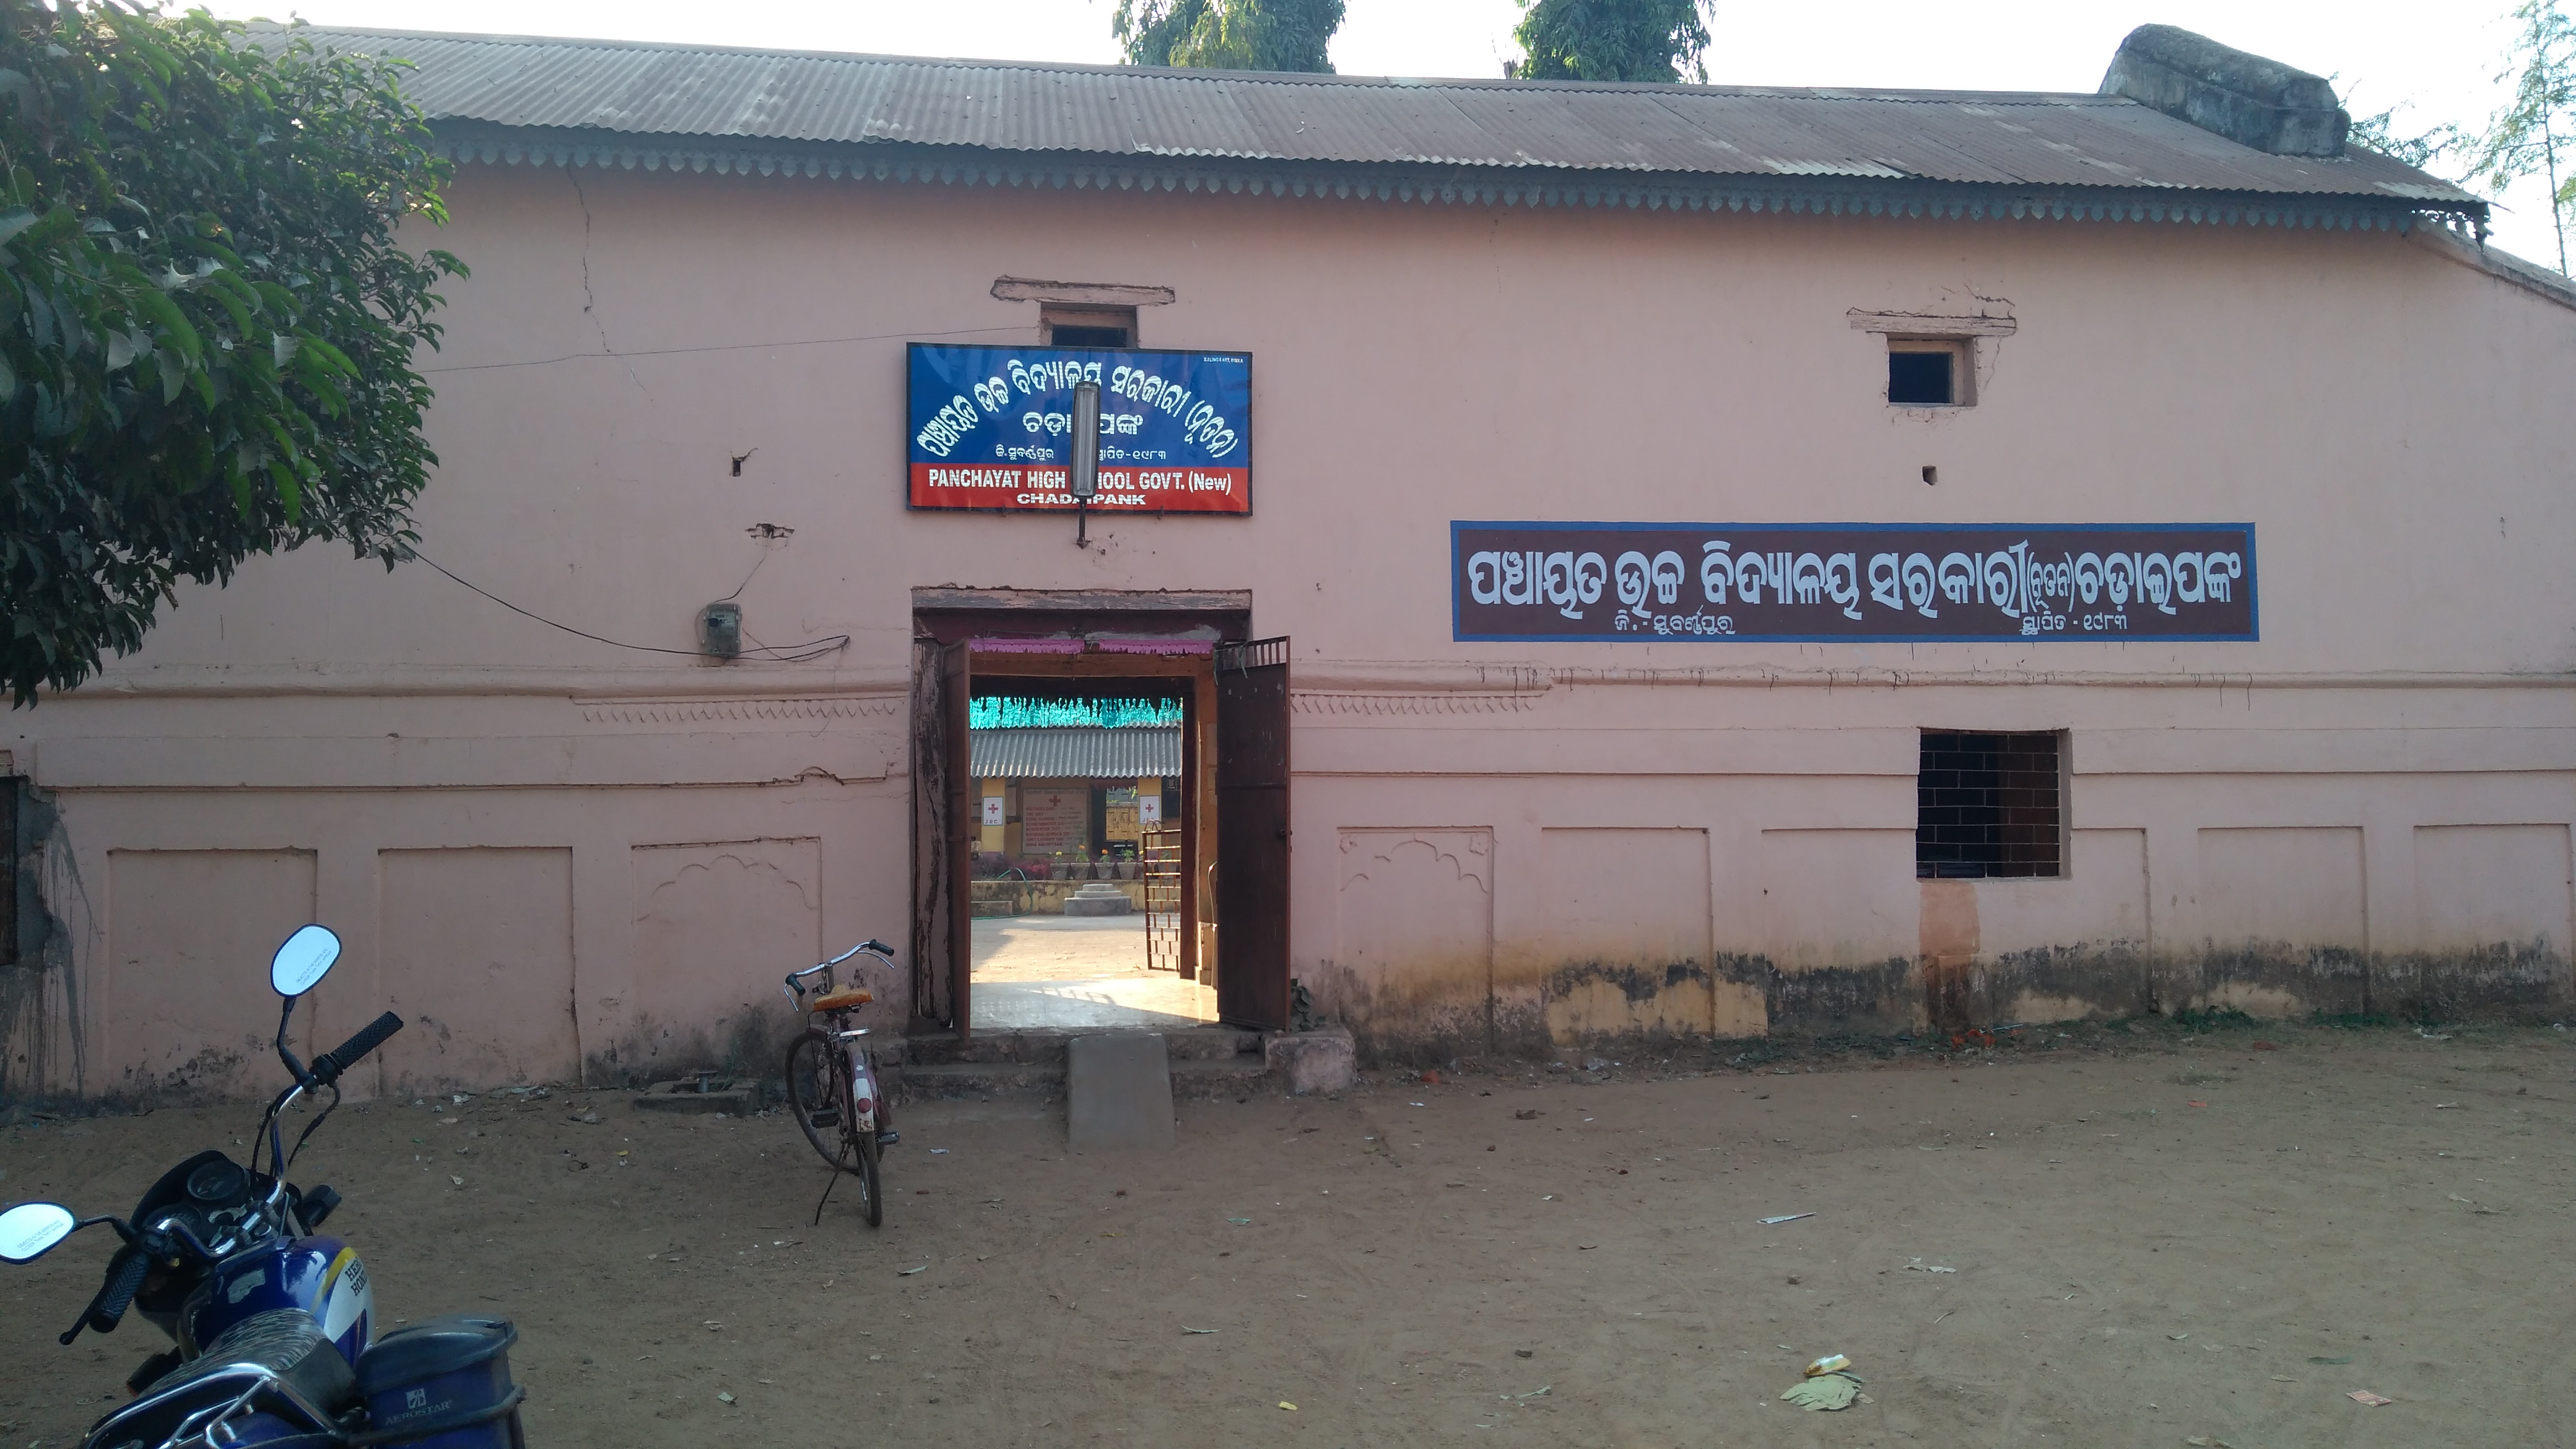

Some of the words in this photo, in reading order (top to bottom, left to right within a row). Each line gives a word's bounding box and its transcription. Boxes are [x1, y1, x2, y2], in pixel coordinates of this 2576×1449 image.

[971, 372, 1016, 420] ଉଚ୍ଚ
[997, 351, 1104, 397] ବିଦ୍ୟାଳୟ
[1106, 359, 1194, 424] ସରକାରୀ
[911, 390, 984, 463] ପଞ୍ଚାୟତ
[990, 438, 1058, 462] ଜି.ସୁବର୍ଣପୁର
[1019, 408, 1146, 438] ଚଡ଼ାପଙ୍କ
[1089, 441, 1167, 464] ପିତ-୧୯୮୩
[1176, 394, 1244, 465] (ନୂତନ)
[925, 466, 1024, 490] PANCHAYAT
[1024, 464, 1070, 490] HIGH
[1012, 488, 1148, 508] CHADAIPANK
[1135, 466, 1187, 490] GOVT.
[1190, 471, 1230, 494] New
[1464, 546, 1615, 623] ପଞ୍ଚାୟତ
[1612, 544, 1689, 625] ଉଚ୍ଚ
[1695, 531, 1867, 625] ବିଦ୍ୟାଳୟ
[1862, 533, 2035, 621] ସରକାରୀ
[2024, 555, 2074, 612] (ନୂତନା)
[2073, 546, 2247, 617] ଚଡ଼ାରୂପଙ୍କ
[1606, 605, 1641, 634] ଜ.
[2017, 607, 2071, 640] ସ୍ଥାପିତ
[2079, 610, 2130, 633] ୧୯୮୩